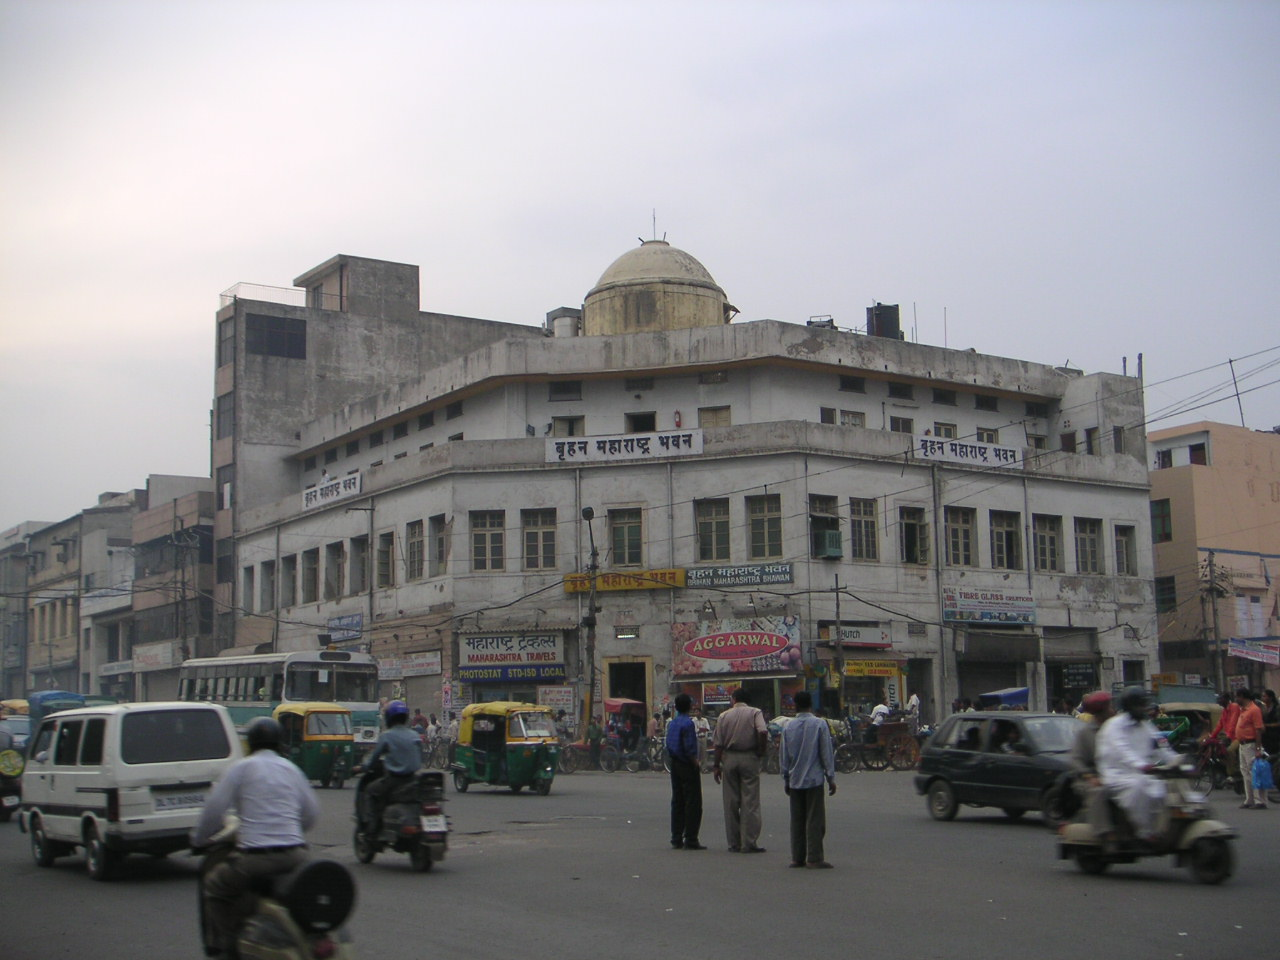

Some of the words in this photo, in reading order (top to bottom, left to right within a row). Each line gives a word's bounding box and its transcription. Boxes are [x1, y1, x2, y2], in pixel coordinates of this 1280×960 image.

[553, 439, 593, 465] बृहन
[595, 433, 653, 463] महारा़ष्ट्र
[655, 428, 693, 456] भवन
[917, 435, 949, 460] बृहन
[948, 439, 993, 466] महाराष्ट्र
[990, 443, 1021, 466] भवन
[301, 483, 321, 509] बृहन
[316, 476, 343, 505] महाराष्ट्र
[339, 473, 362, 495] भवन
[599, 570, 646, 593] महाराष्ट्र
[643, 569, 680, 590] भवन
[687, 565, 715, 584] बृहन
[716, 563, 763, 581] महाराष्ट्र
[761, 560, 793, 576] भवन
[462, 632, 515, 655] महाराष्‍ट्र
[511, 627, 561, 653] ट्रेव्हल्स
[690, 629, 781, 654] AGGARWAL
[464, 650, 525, 665] MAHARASHTRA
[522, 649, 561, 664] TRAVELS
[455, 665, 504, 683] १९९१९३९